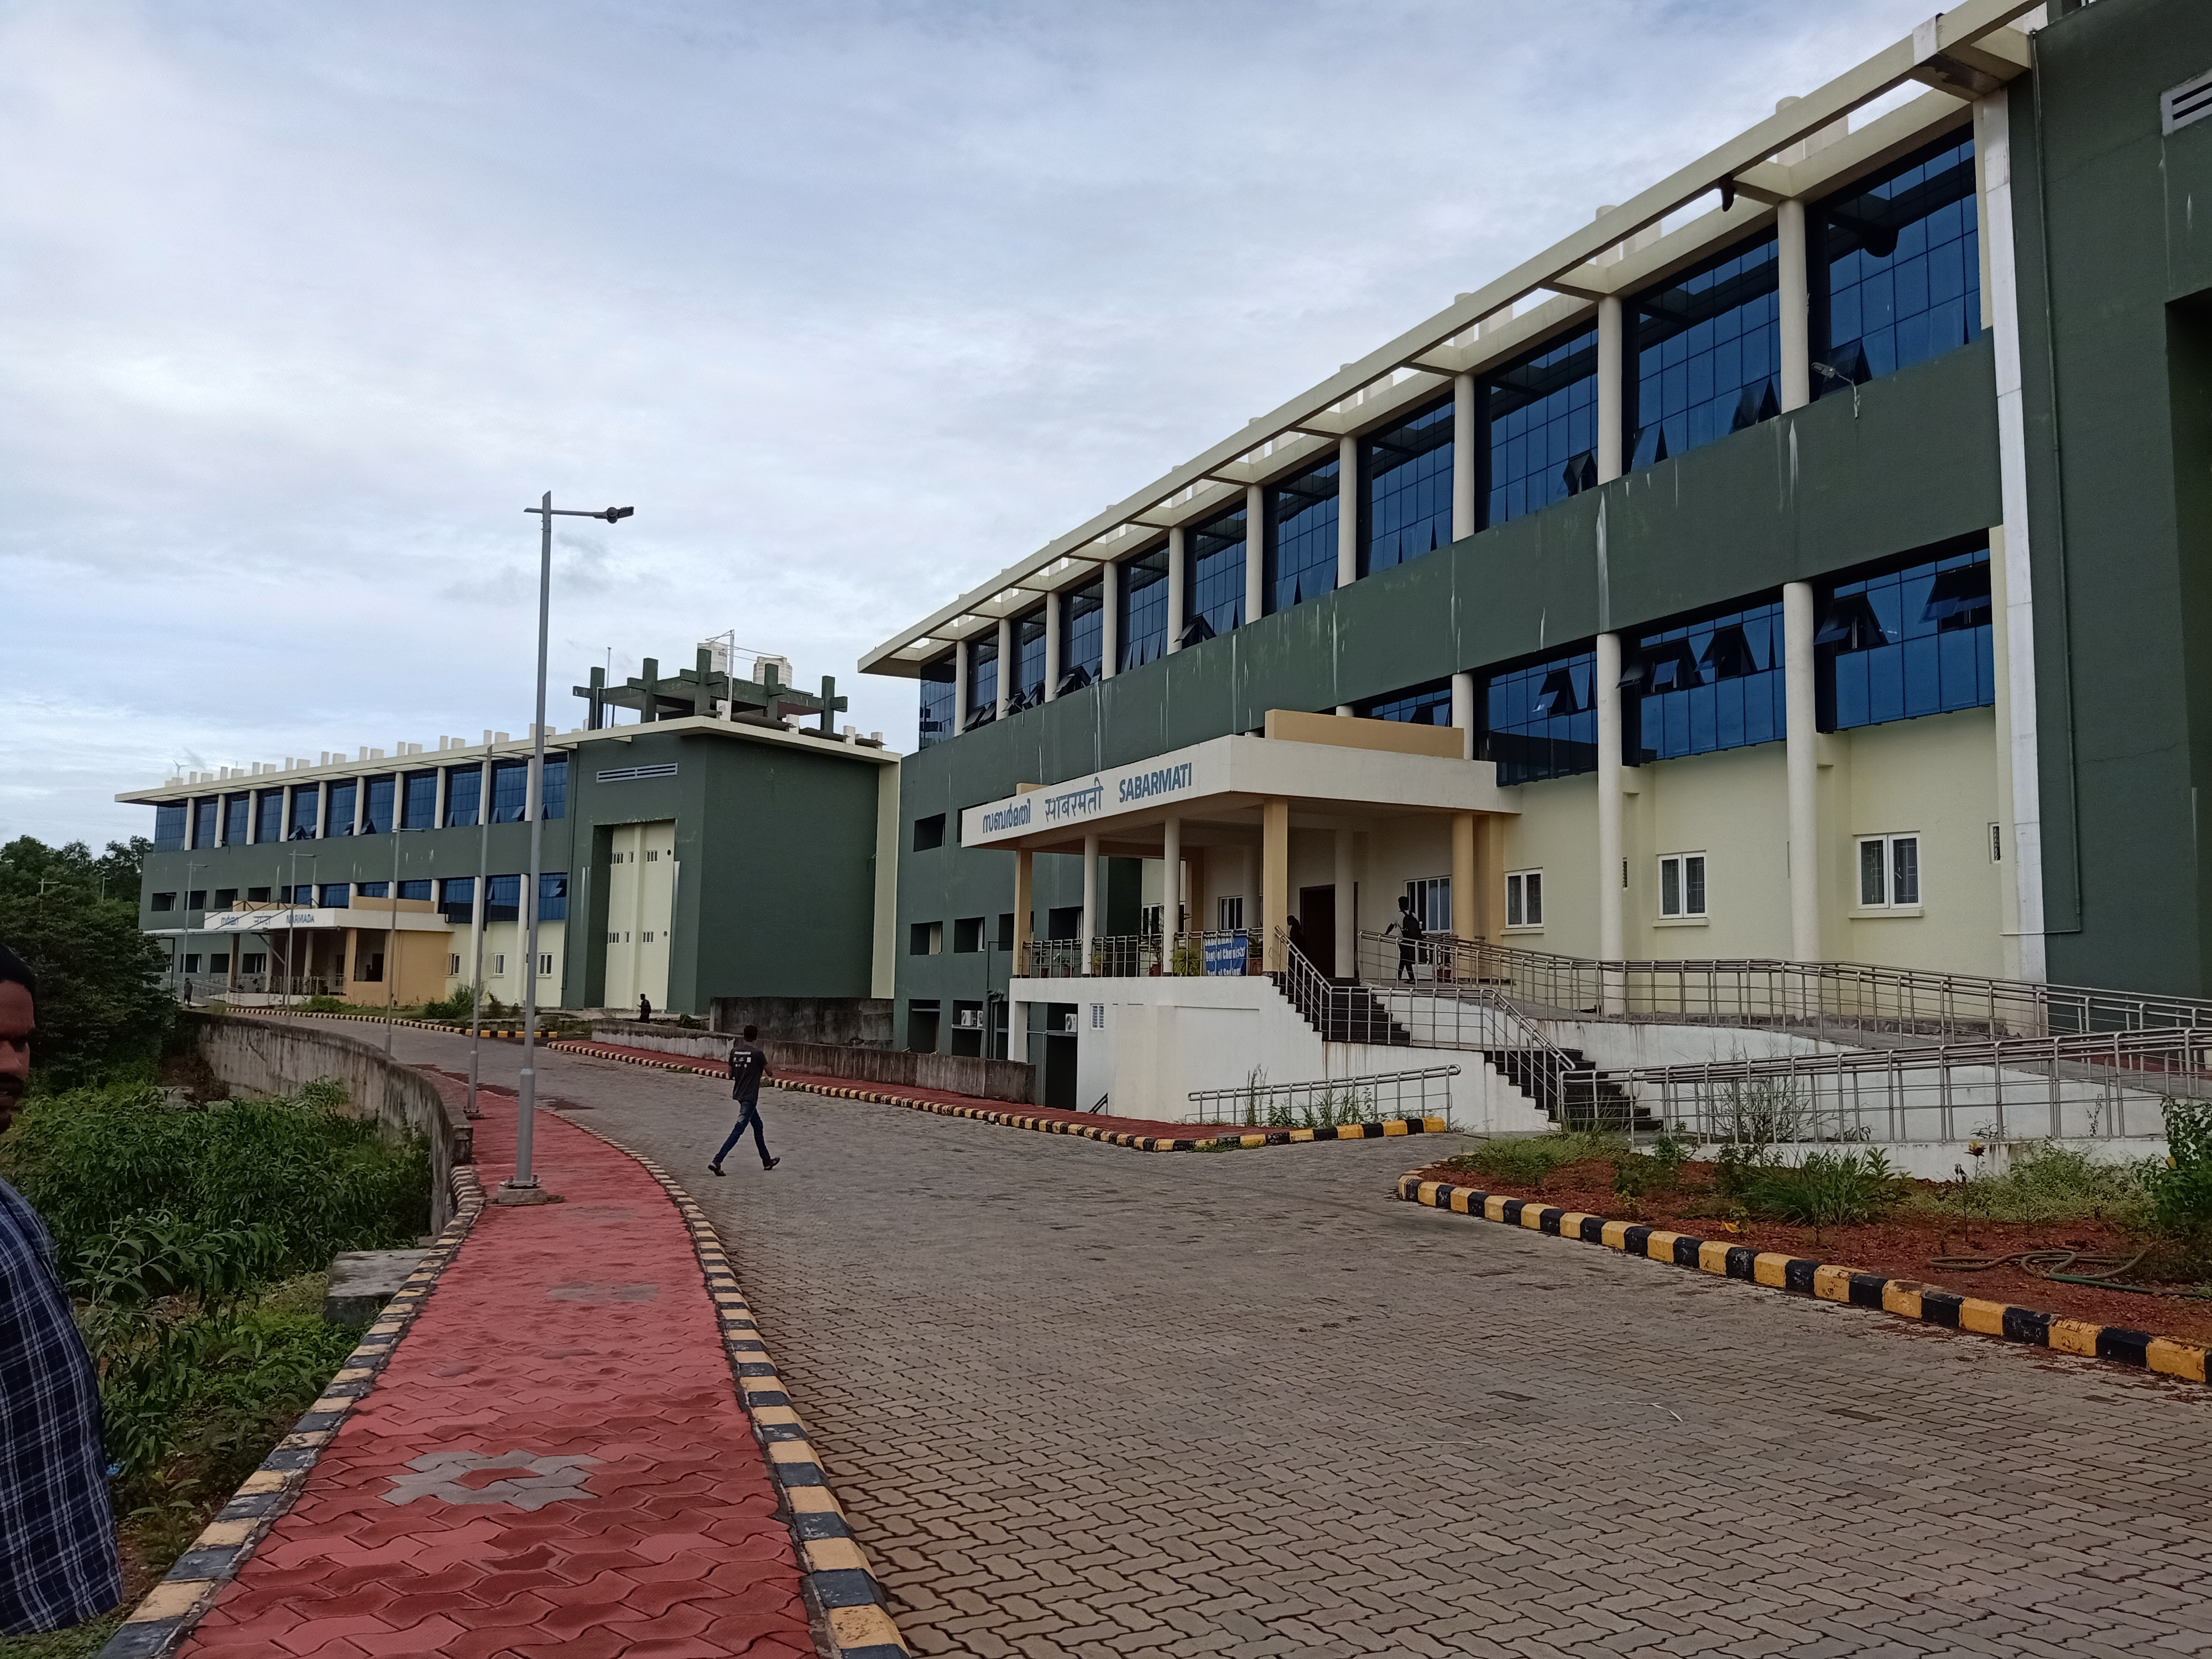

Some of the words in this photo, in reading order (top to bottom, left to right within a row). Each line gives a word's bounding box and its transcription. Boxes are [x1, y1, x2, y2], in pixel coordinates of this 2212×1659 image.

[980, 797, 1034, 837] സബർമതി
[1041, 774, 1105, 823] साबरमती
[1117, 760, 1193, 804] SABARMATI
[251, 910, 274, 927] नर्मदा
[284, 911, 317, 925] NARMADA